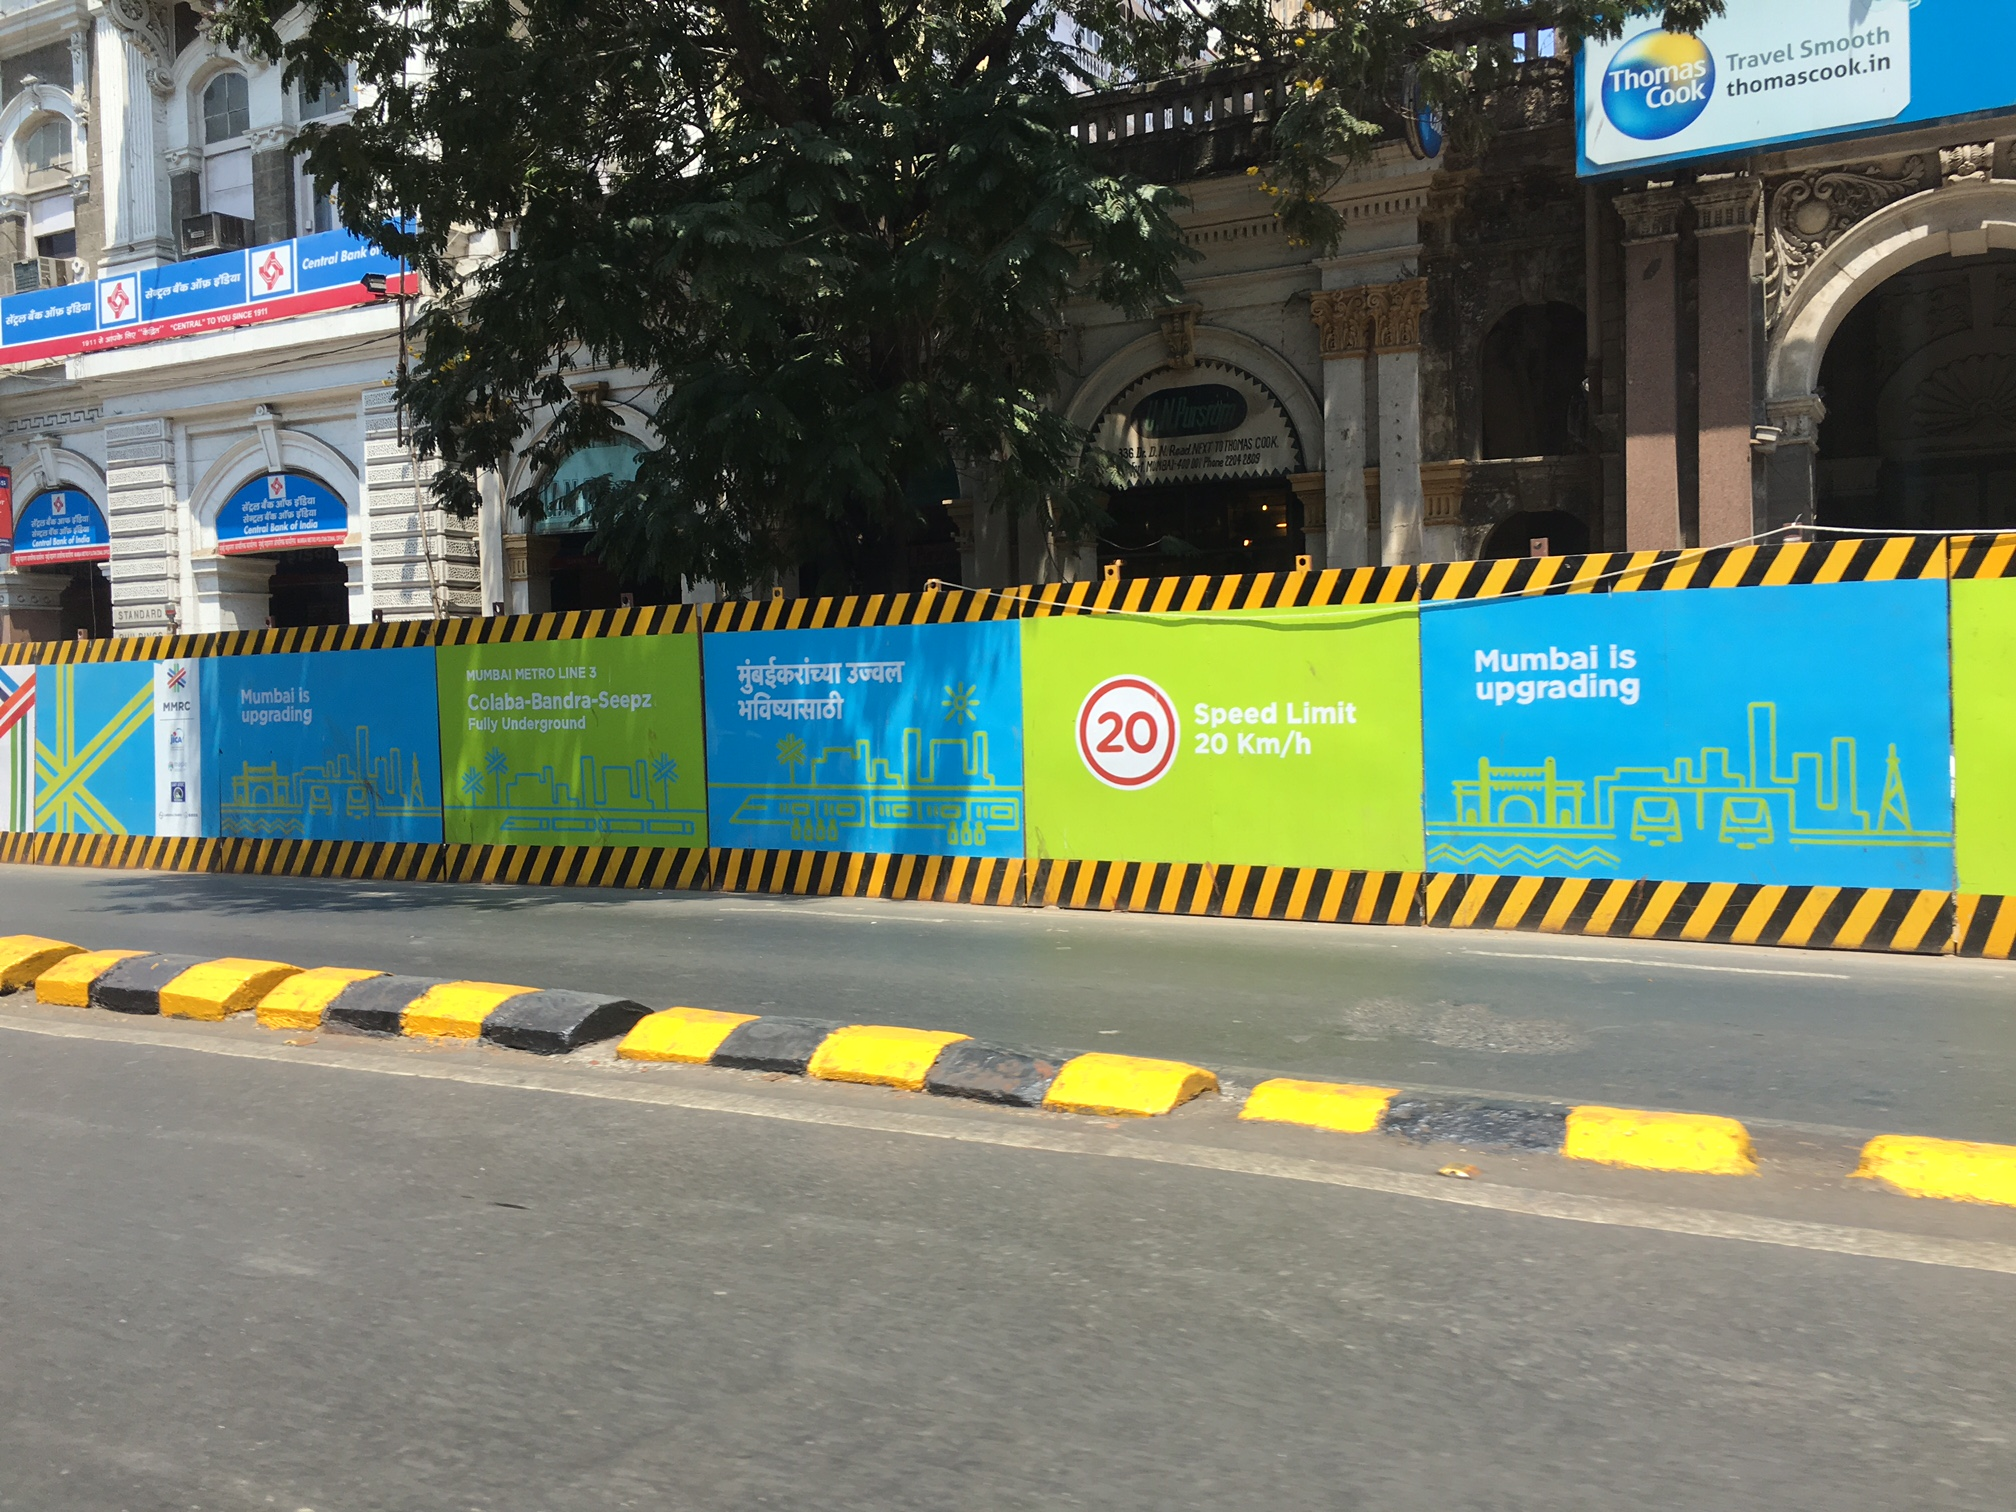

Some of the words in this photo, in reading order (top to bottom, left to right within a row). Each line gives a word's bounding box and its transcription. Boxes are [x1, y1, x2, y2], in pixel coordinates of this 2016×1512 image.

[1792, 21, 1892, 60] Smooth
[1720, 40, 1799, 77] Travel
[1606, 53, 1713, 92] Thomas
[1725, 48, 1895, 101] thomascook.in
[1635, 76, 1711, 115] Cook
[295, 246, 343, 272] Central
[339, 241, 374, 265] Bank
[141, 279, 177, 302] सेन्ट्रल
[168, 271, 194, 299] बैंक
[187, 271, 219, 293] ऑफ्र
[208, 263, 244, 291] इंडिया
[1, 307, 32, 332] सेंट्रल
[20, 301, 49, 327] बँक
[41, 295, 73, 323] ऑफ्र
[61, 296, 97, 318] इंडिया
[1134, 439, 1193, 461] Dr.D.N.Read
[1189, 435, 1216, 460] NEXT
[1197, 449, 1228, 470] Phone
[1211, 435, 1227, 459] TO
[1222, 433, 1255, 456] THOMAS
[1253, 429, 1281, 452] COOK.
[24, 514, 51, 532] सेंट्रल
[27, 525, 52, 539] सेन्ट्रल
[39, 511, 61, 529] बँक
[45, 521, 66, 543] बँक
[53, 515, 75, 527] ऑफ्र
[51, 519, 77, 539] ऑफ
[67, 505, 93, 525] इंडिया
[68, 517, 95, 537] इंडिया
[237, 494, 265, 516] सॅट्रल
[237, 505, 267, 524] सेन्ट्रल
[237, 519, 273, 537] Central
[253, 491, 281, 512] बँक
[257, 505, 283, 525] बैंक
[266, 515, 294, 535] Bank
[269, 491, 297, 511] ऑफ
[275, 505, 297, 524] ऑफ
[281, 516, 306, 534] k of
[291, 488, 322, 508] इंडिया
[292, 501, 322, 521] इंडिया
[294, 515, 324, 532] India
[1469, 635, 1610, 679] Mumbai
[1603, 638, 1643, 671] is
[460, 657, 516, 684] MUMBAI
[509, 662, 561, 683] METRO
[556, 662, 601, 681] LINE3
[729, 648, 849, 696] मुंबईकरांच्या
[834, 653, 911, 689] उज्वल
[237, 682, 299, 711] Mumbai
[238, 702, 317, 730] upgrading
[293, 681, 320, 707] is
[465, 709, 504, 738] Fully
[465, 687, 531, 716] Colaba-
[499, 710, 591, 735] Underground
[529, 687, 595, 715] Bandra
[594, 687, 657, 716] Seepz
[732, 686, 849, 727] भविष्यासाठी
[1189, 701, 1280, 729] Speed
[1282, 701, 1358, 727] Limit
[1473, 666, 1648, 713] upgrading
[1187, 729, 1234, 760] 20
[1234, 729, 1313, 760] Km/h